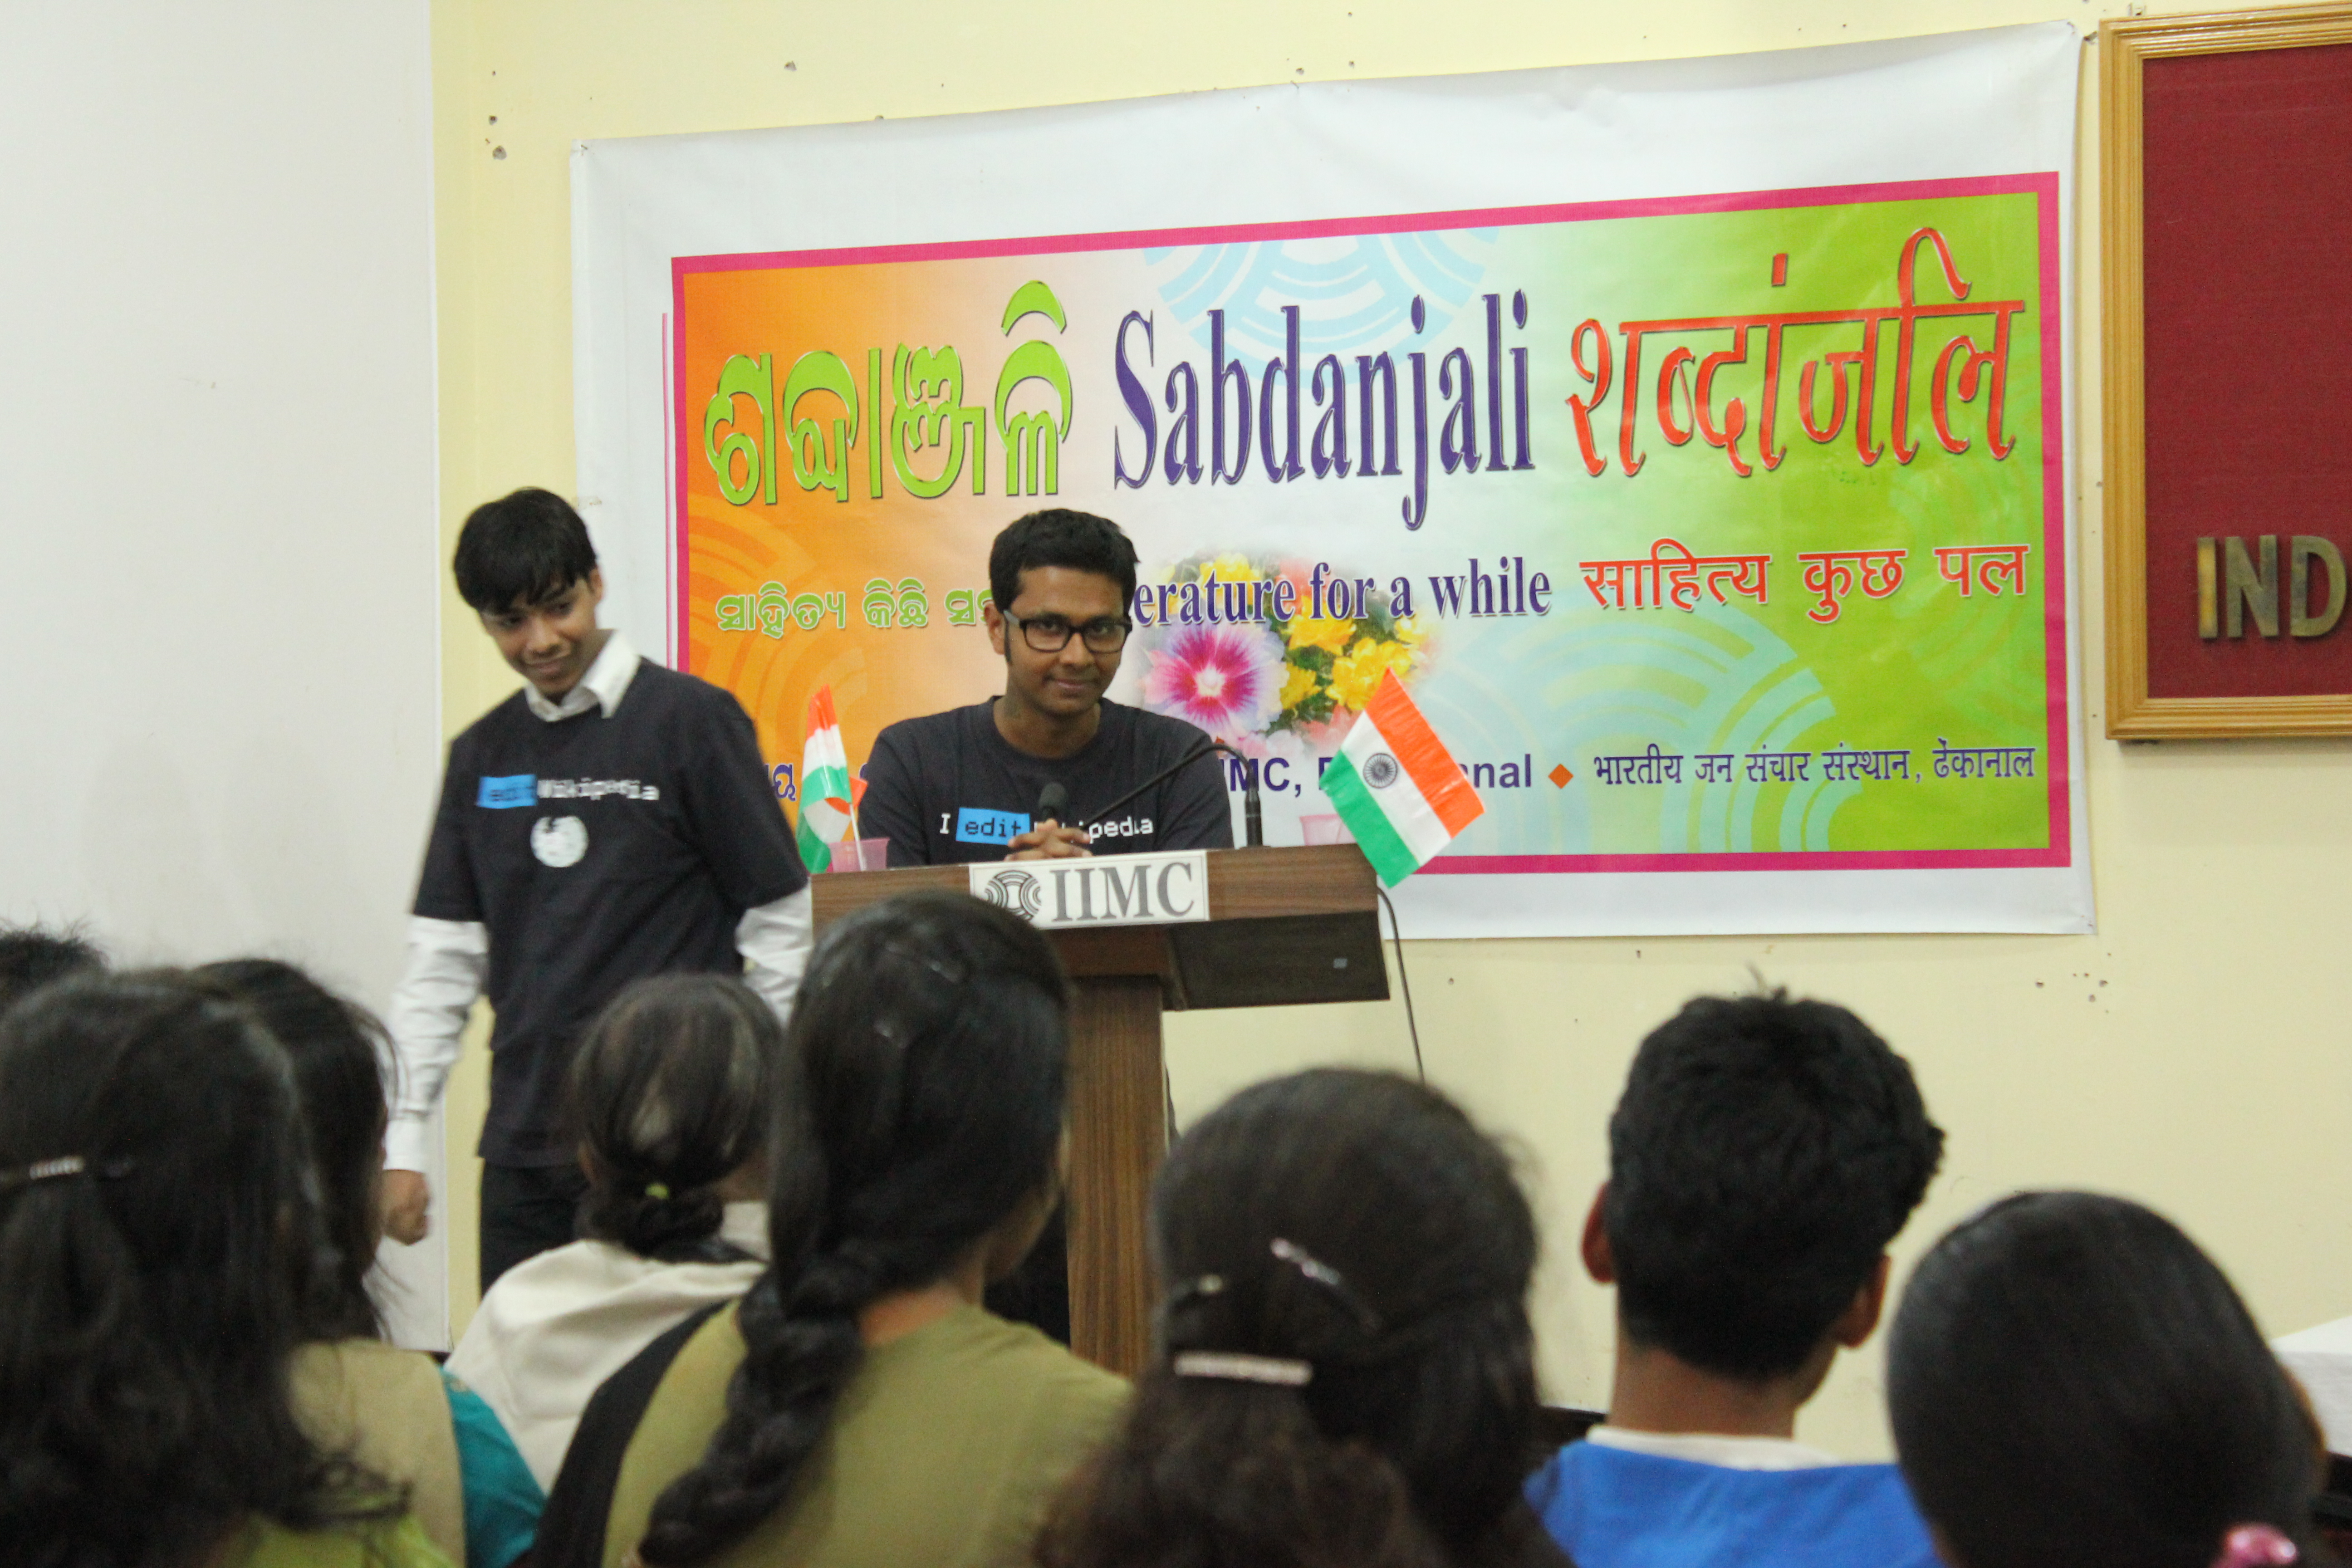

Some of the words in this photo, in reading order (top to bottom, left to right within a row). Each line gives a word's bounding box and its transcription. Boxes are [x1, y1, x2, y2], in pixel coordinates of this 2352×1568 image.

[1565, 222, 2028, 482] शब्दांजलि
[1106, 282, 1536, 539] Sabdanjali
[714, 571, 853, 642] ସାହିତ୍ୟ
[857, 571, 932, 637] କିଛି
[1132, 571, 1296, 628] erature
[1298, 556, 1392, 628] for
[1380, 572, 1416, 620] a
[1422, 549, 1556, 622] while
[1578, 530, 1773, 614] साहित्य
[1795, 548, 1909, 627] कुछ
[1933, 543, 2032, 599] पल
[2178, 511, 2352, 654] IND
[1461, 748, 1537, 794] nal
[1587, 739, 1684, 787] भारतीय
[1690, 750, 1738, 784] जन
[1744, 740, 1812, 786] संचार
[1819, 739, 1916, 785] संस्थान
[1927, 734, 2041, 781] ढेंकानाल
[955, 809, 1029, 843] edit
[1042, 852, 1207, 925] IIMC